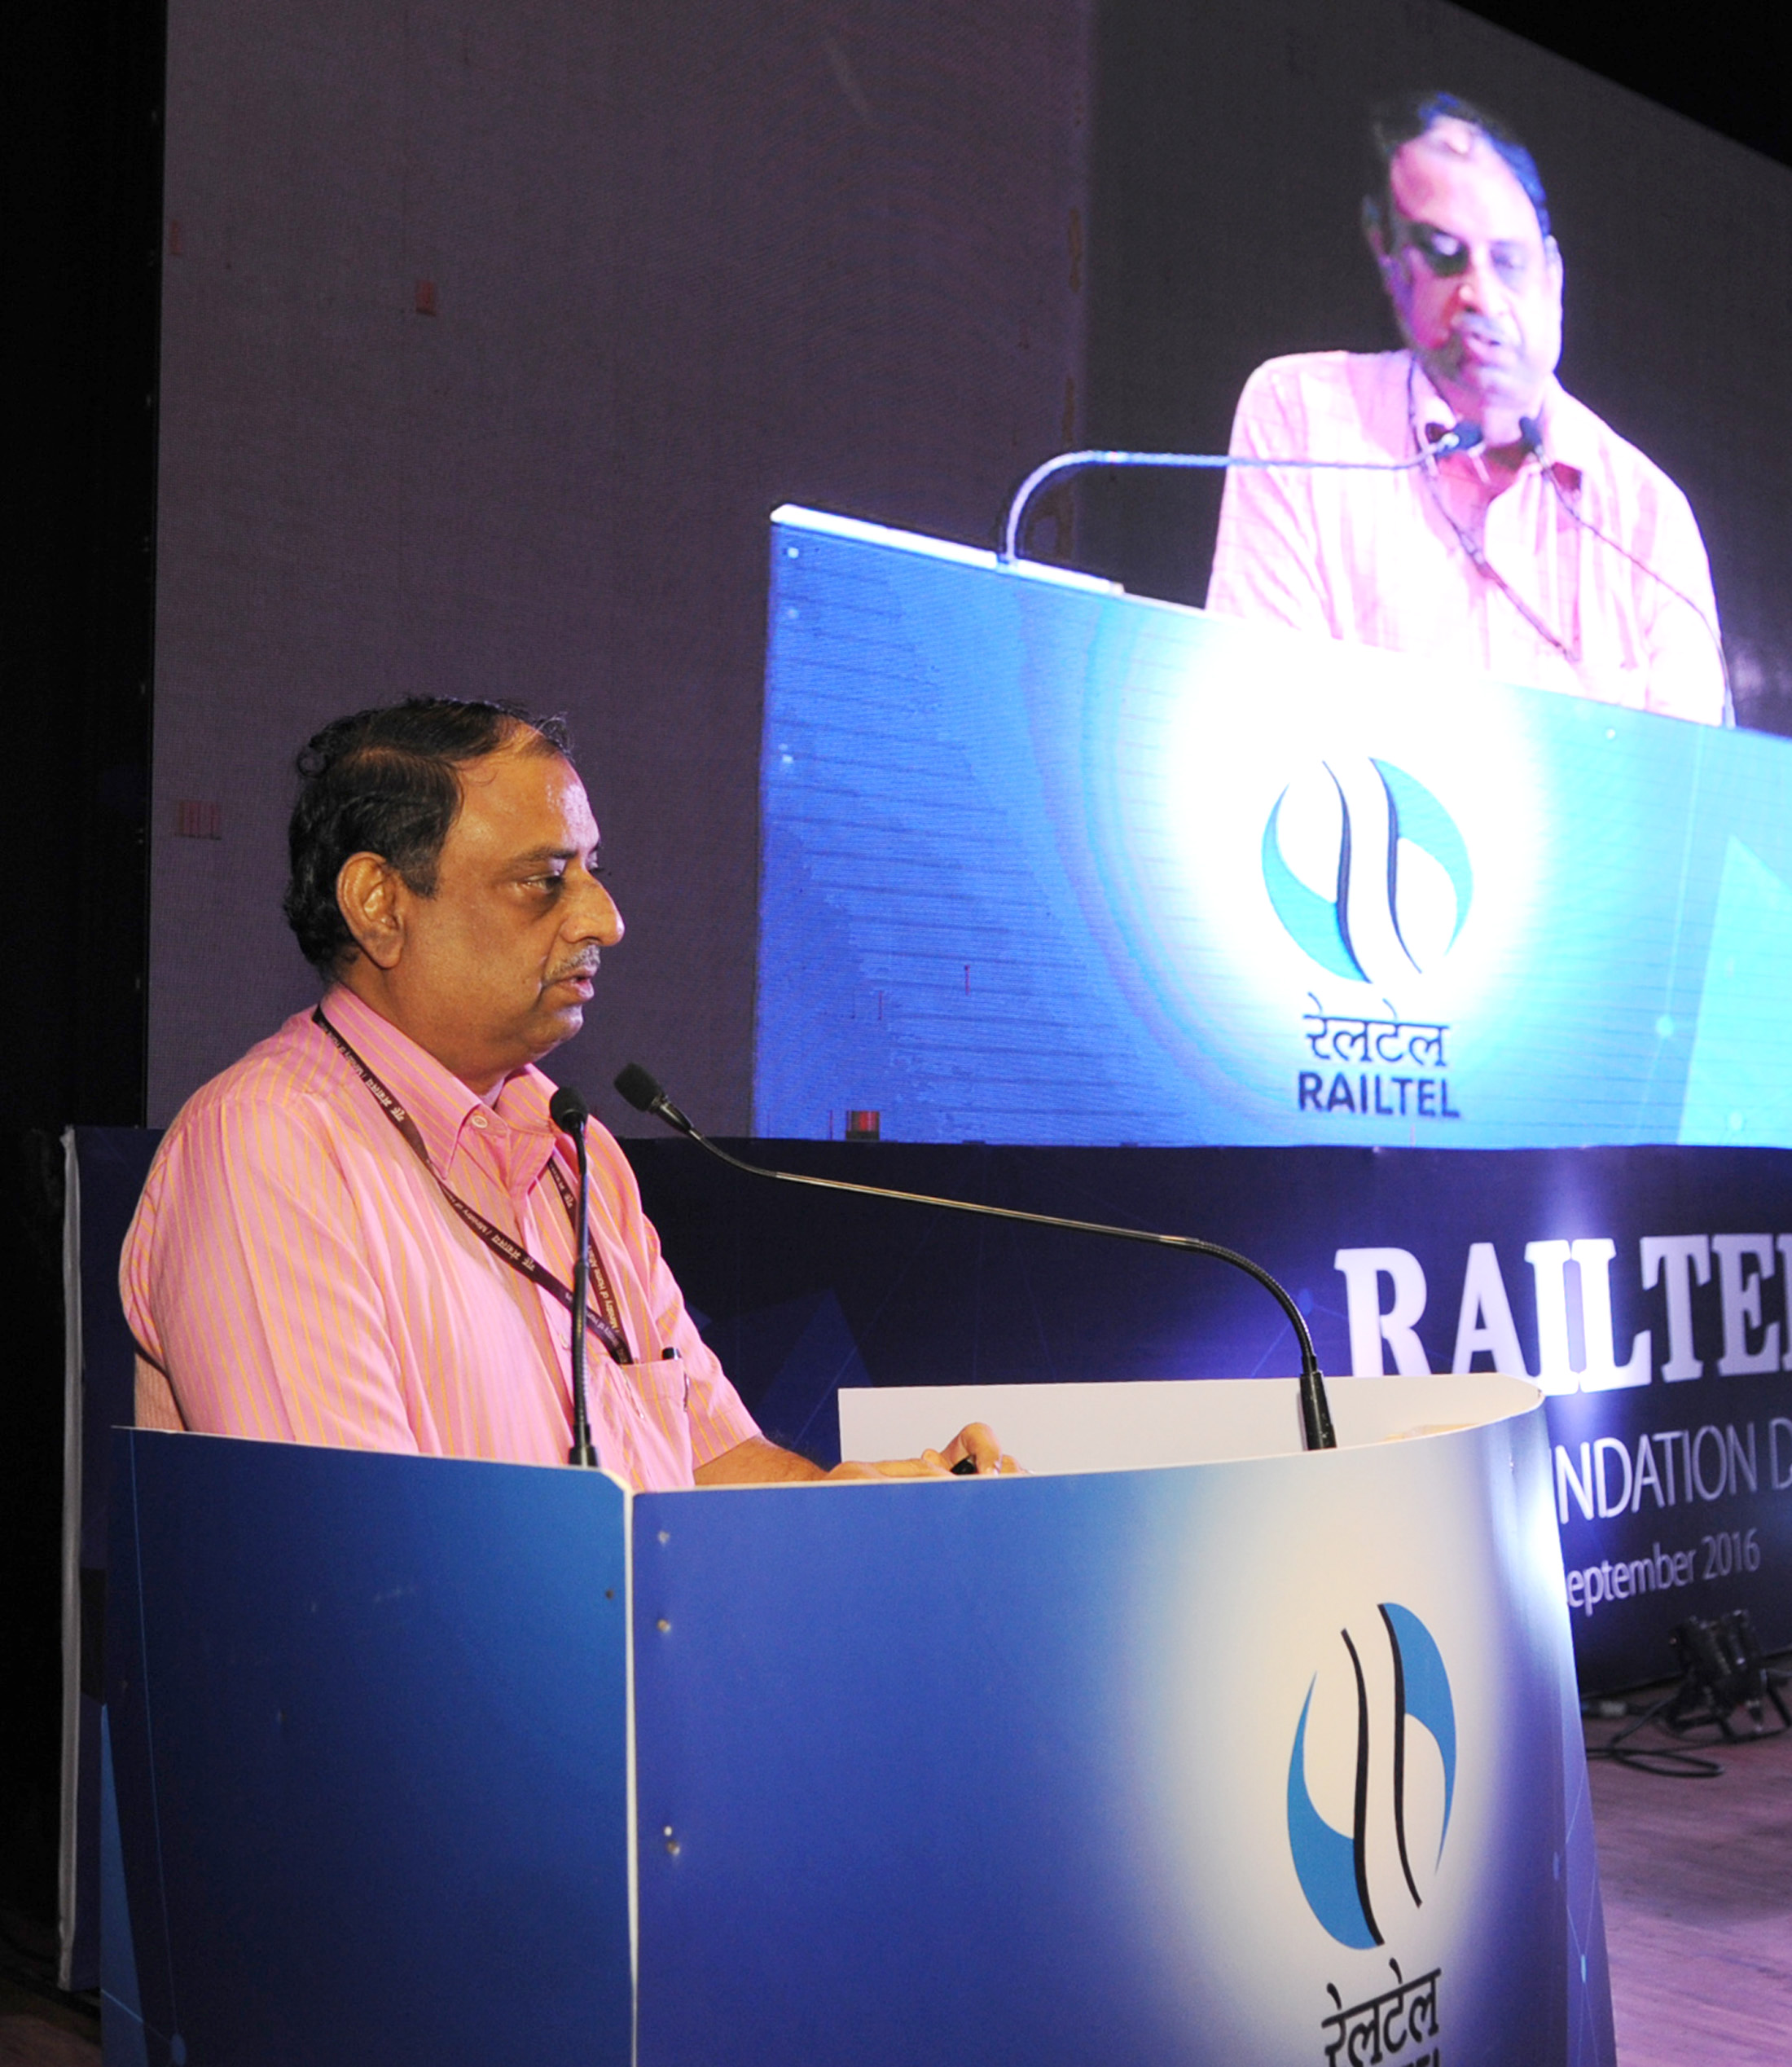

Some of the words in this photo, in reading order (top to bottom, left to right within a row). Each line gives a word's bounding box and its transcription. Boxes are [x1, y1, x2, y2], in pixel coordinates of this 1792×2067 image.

[1295, 990, 1452, 1070] रेलटेल
[1293, 1070, 1458, 1122] RAILTEL
[1336, 1230, 1786, 1403] RAILTE
[1546, 1419, 1761, 1530] NDATION
[1565, 1538, 1699, 1620] eptember
[1698, 1523, 1764, 1584] 2016
[1317, 1954, 1443, 2065] रेलटेल